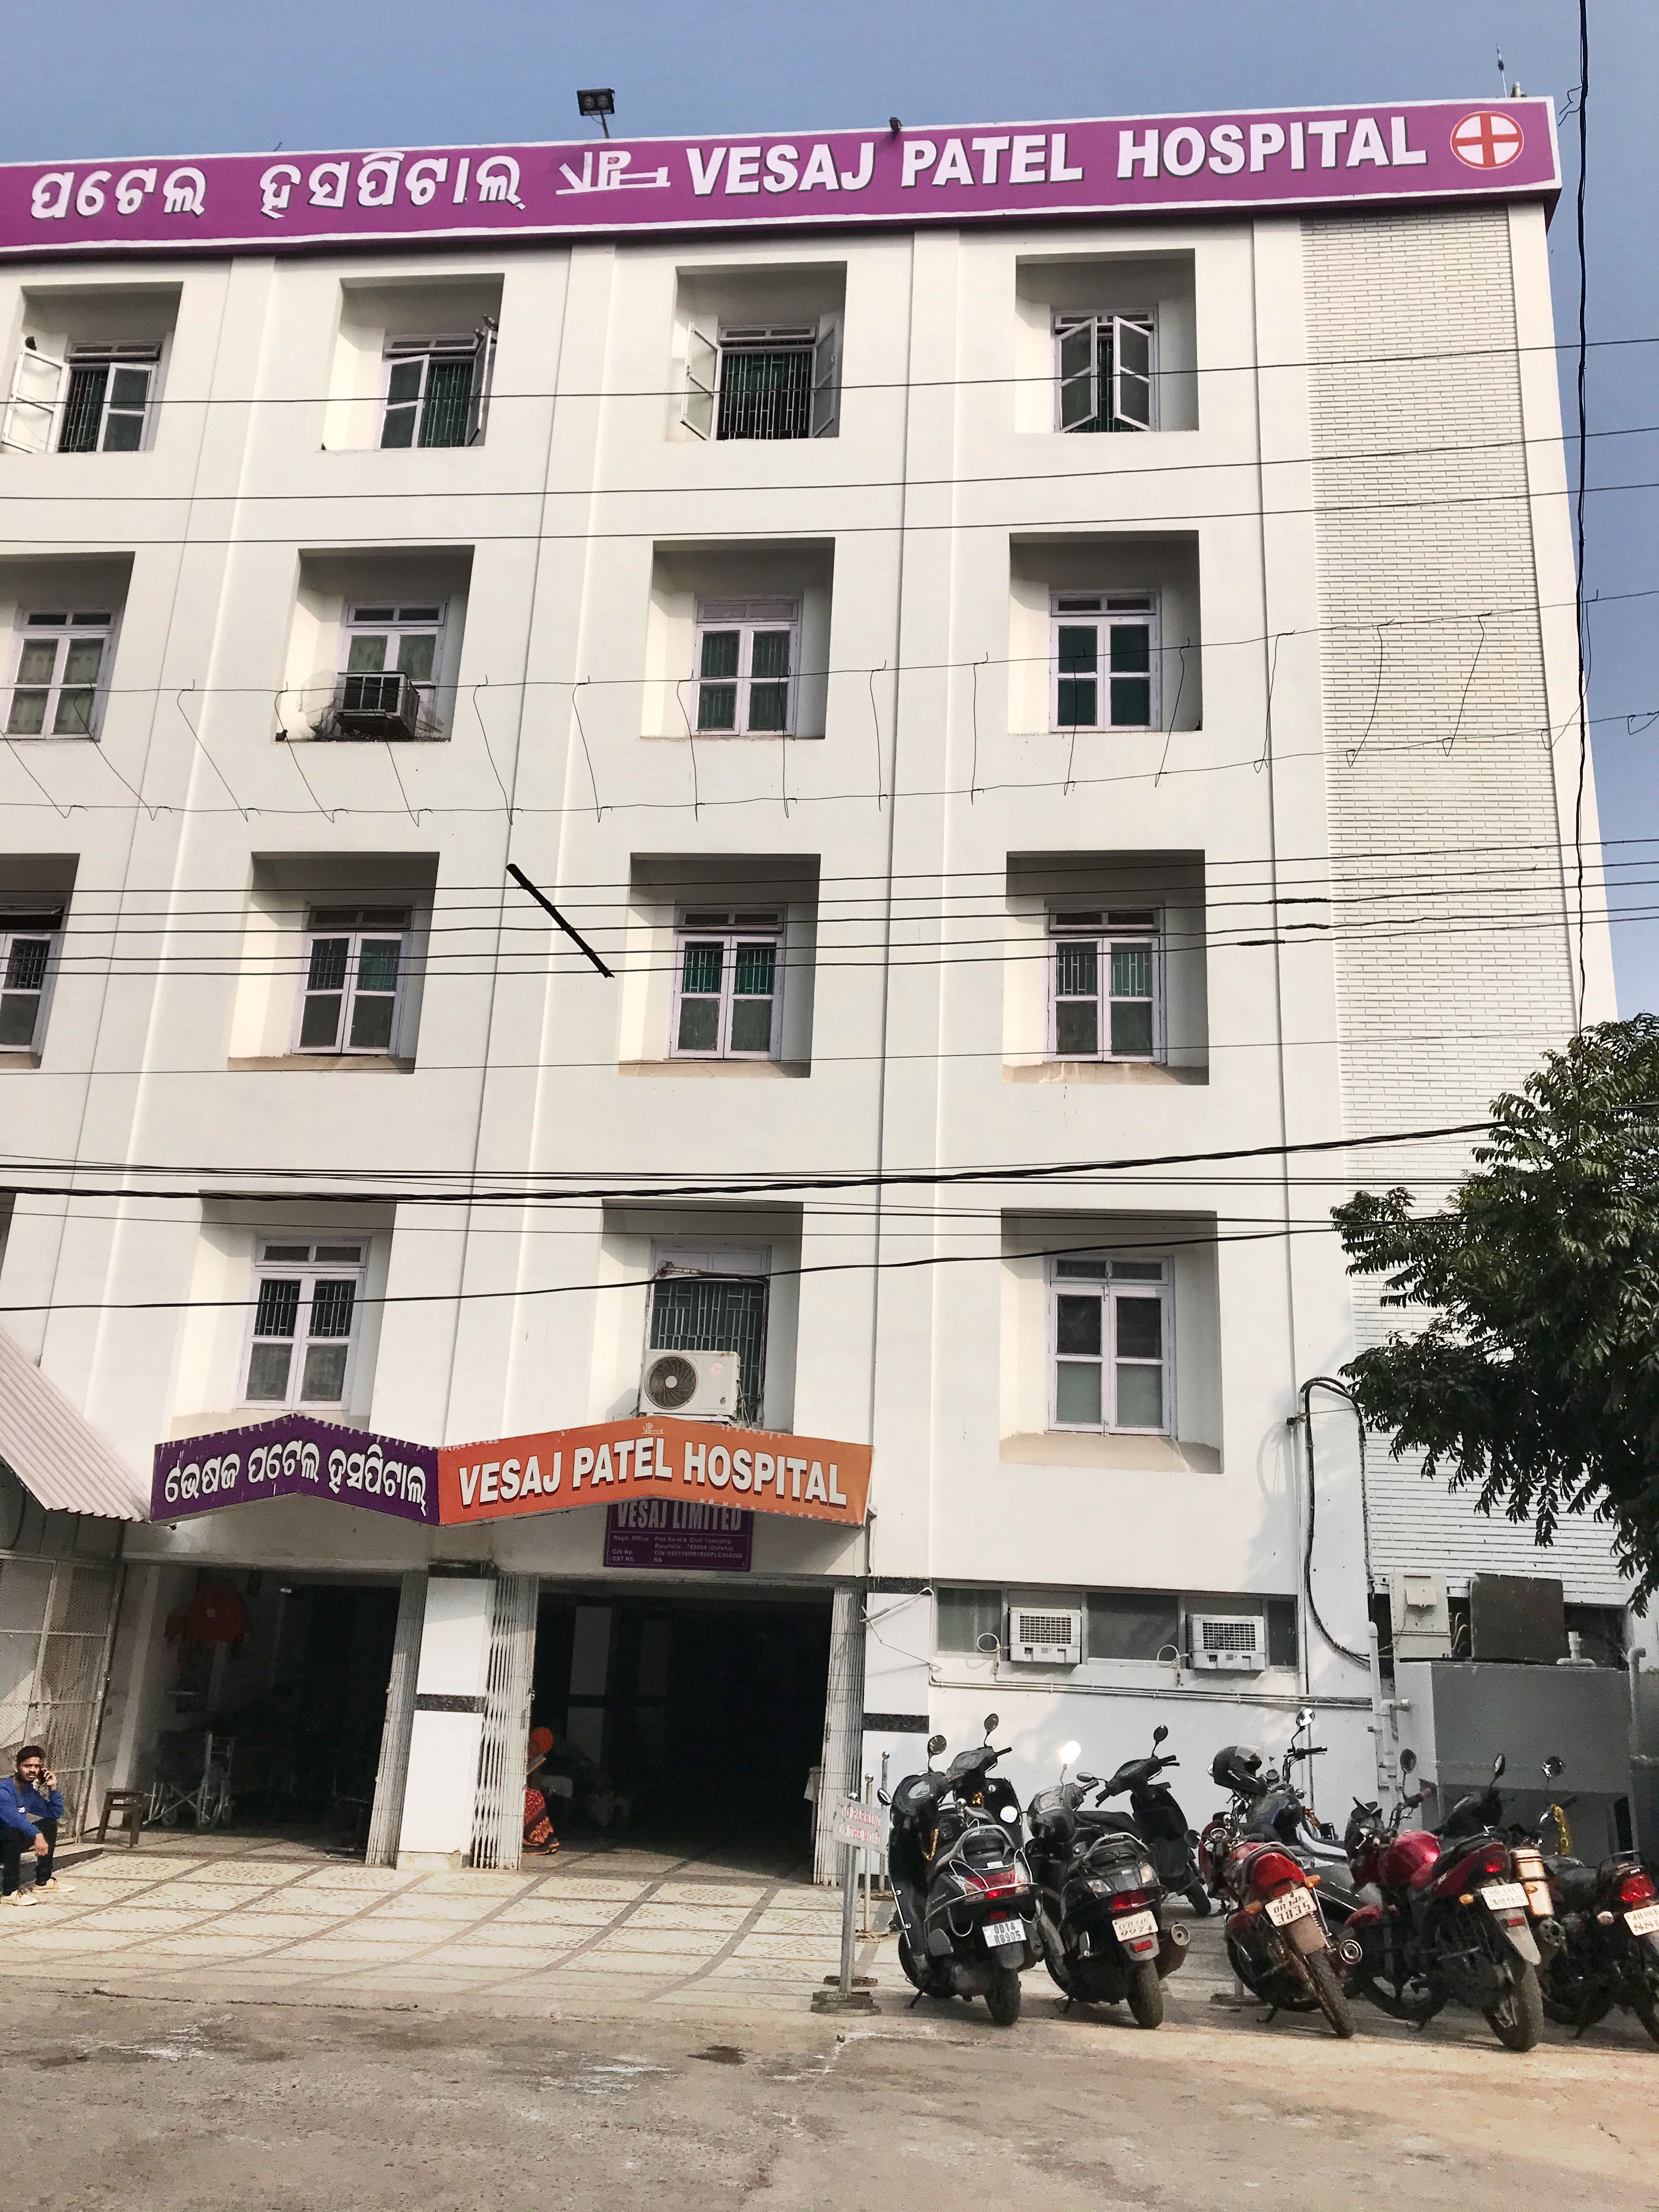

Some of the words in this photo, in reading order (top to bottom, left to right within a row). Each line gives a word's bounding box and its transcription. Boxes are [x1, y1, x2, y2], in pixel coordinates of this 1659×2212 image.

[23, 159, 213, 222] ପଟେଲ
[255, 143, 529, 222] ହସପିଟାଲ
[548, 139, 672, 201] VPH
[681, 139, 881, 199] VESAJ
[895, 129, 1090, 189] PATEL
[1113, 110, 1434, 178] HOSPITAL
[158, 1449, 242, 1506] ଭେଷଜ
[242, 1434, 321, 1487] ପଟେଲ
[323, 1437, 431, 1519] ହସପିଟାଲ୍
[458, 1448, 566, 1509] VESAJ
[569, 1433, 678, 1489] PATEL
[680, 1437, 850, 1509] HOSPITAL